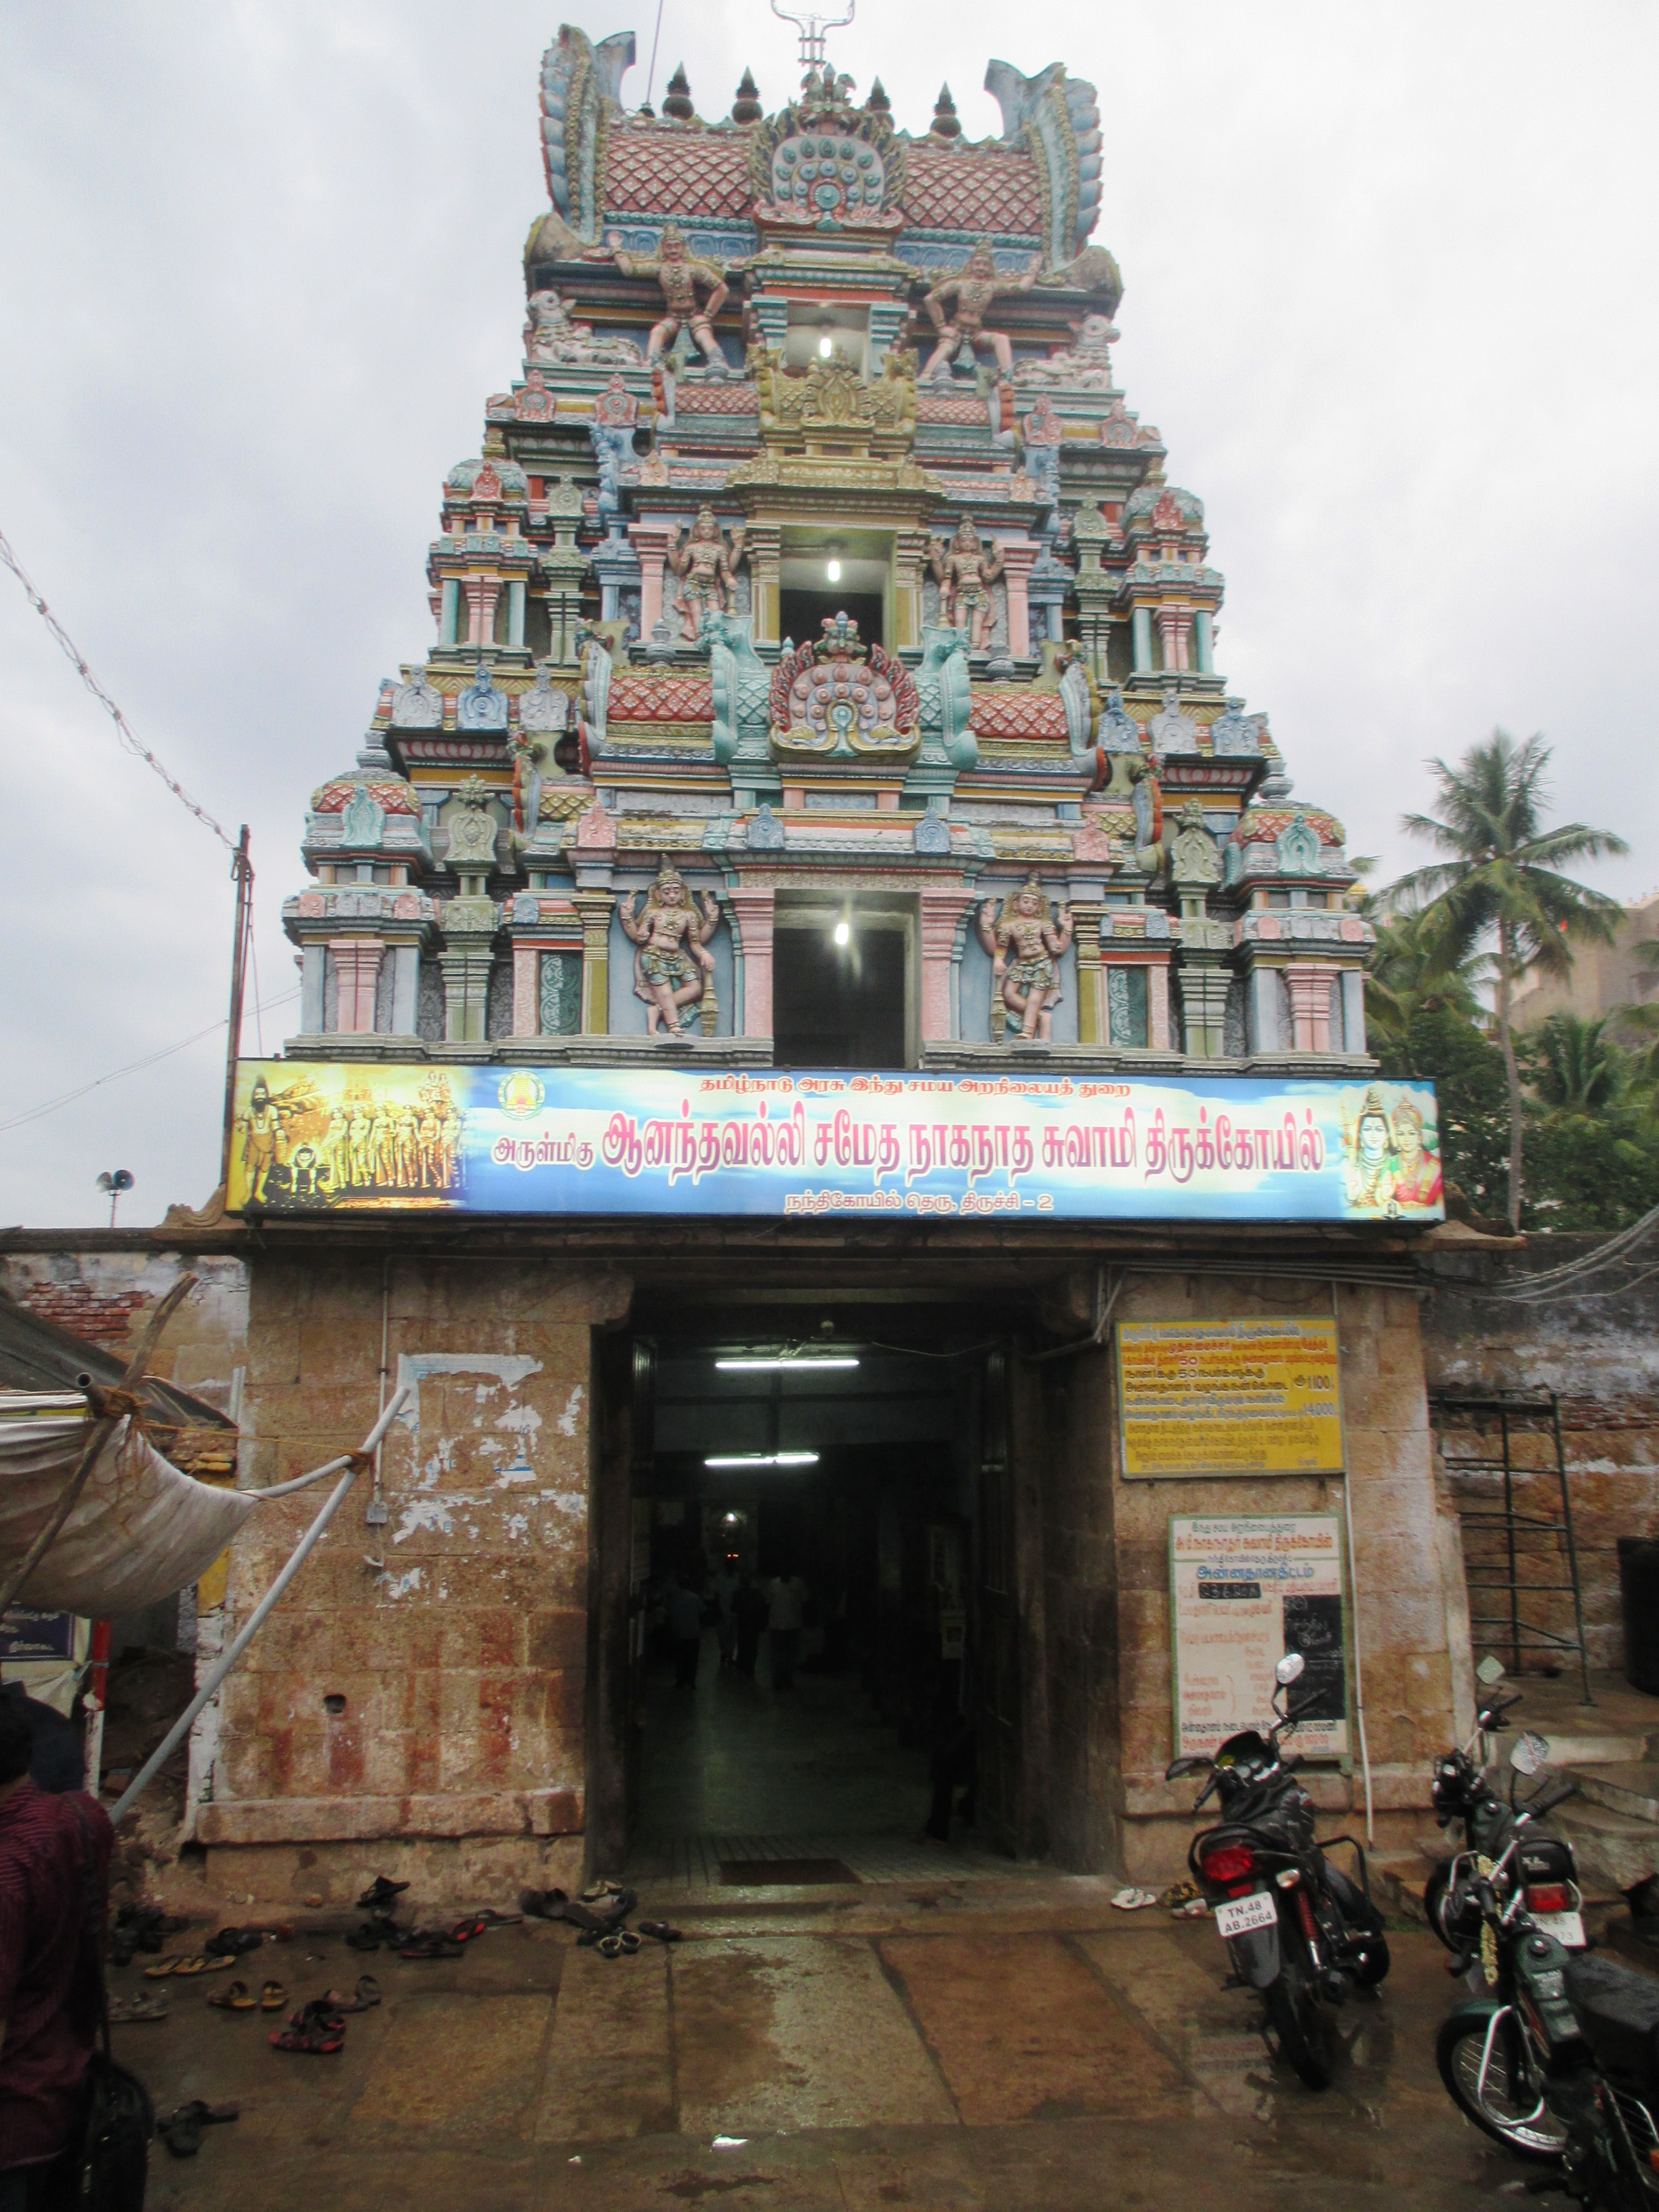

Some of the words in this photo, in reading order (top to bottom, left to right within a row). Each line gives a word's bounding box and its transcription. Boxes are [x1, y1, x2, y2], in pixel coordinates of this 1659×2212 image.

[697, 1069, 795, 1097] தமிழ்நாடு
[795, 1072, 848, 1097] அரசு
[842, 1072, 905, 1098] இந்து
[905, 1078, 956, 1095] சமய
[954, 1073, 1078, 1098] அறநிலையத்
[1074, 1078, 1134, 1101] துறை
[491, 1129, 596, 1176] அருள்மிகு
[596, 1094, 807, 1190] ஆனந்தவல்லி
[807, 1104, 906, 1185] சமேத
[903, 1118, 1038, 1187] நாகநாத
[1036, 1102, 1141, 1172] சுவாமி
[1141, 1102, 1329, 1187] திருக்கோயில்
[781, 1186, 907, 1216] நந்திகோயில்
[902, 1188, 962, 1218] தெ௫,
[960, 1186, 1055, 1218] திருச்சி-2
[1291, 1371, 1333, 1395] ௹ 1100
[1192, 1561, 1317, 1582] அன்னதானதிட்டம்